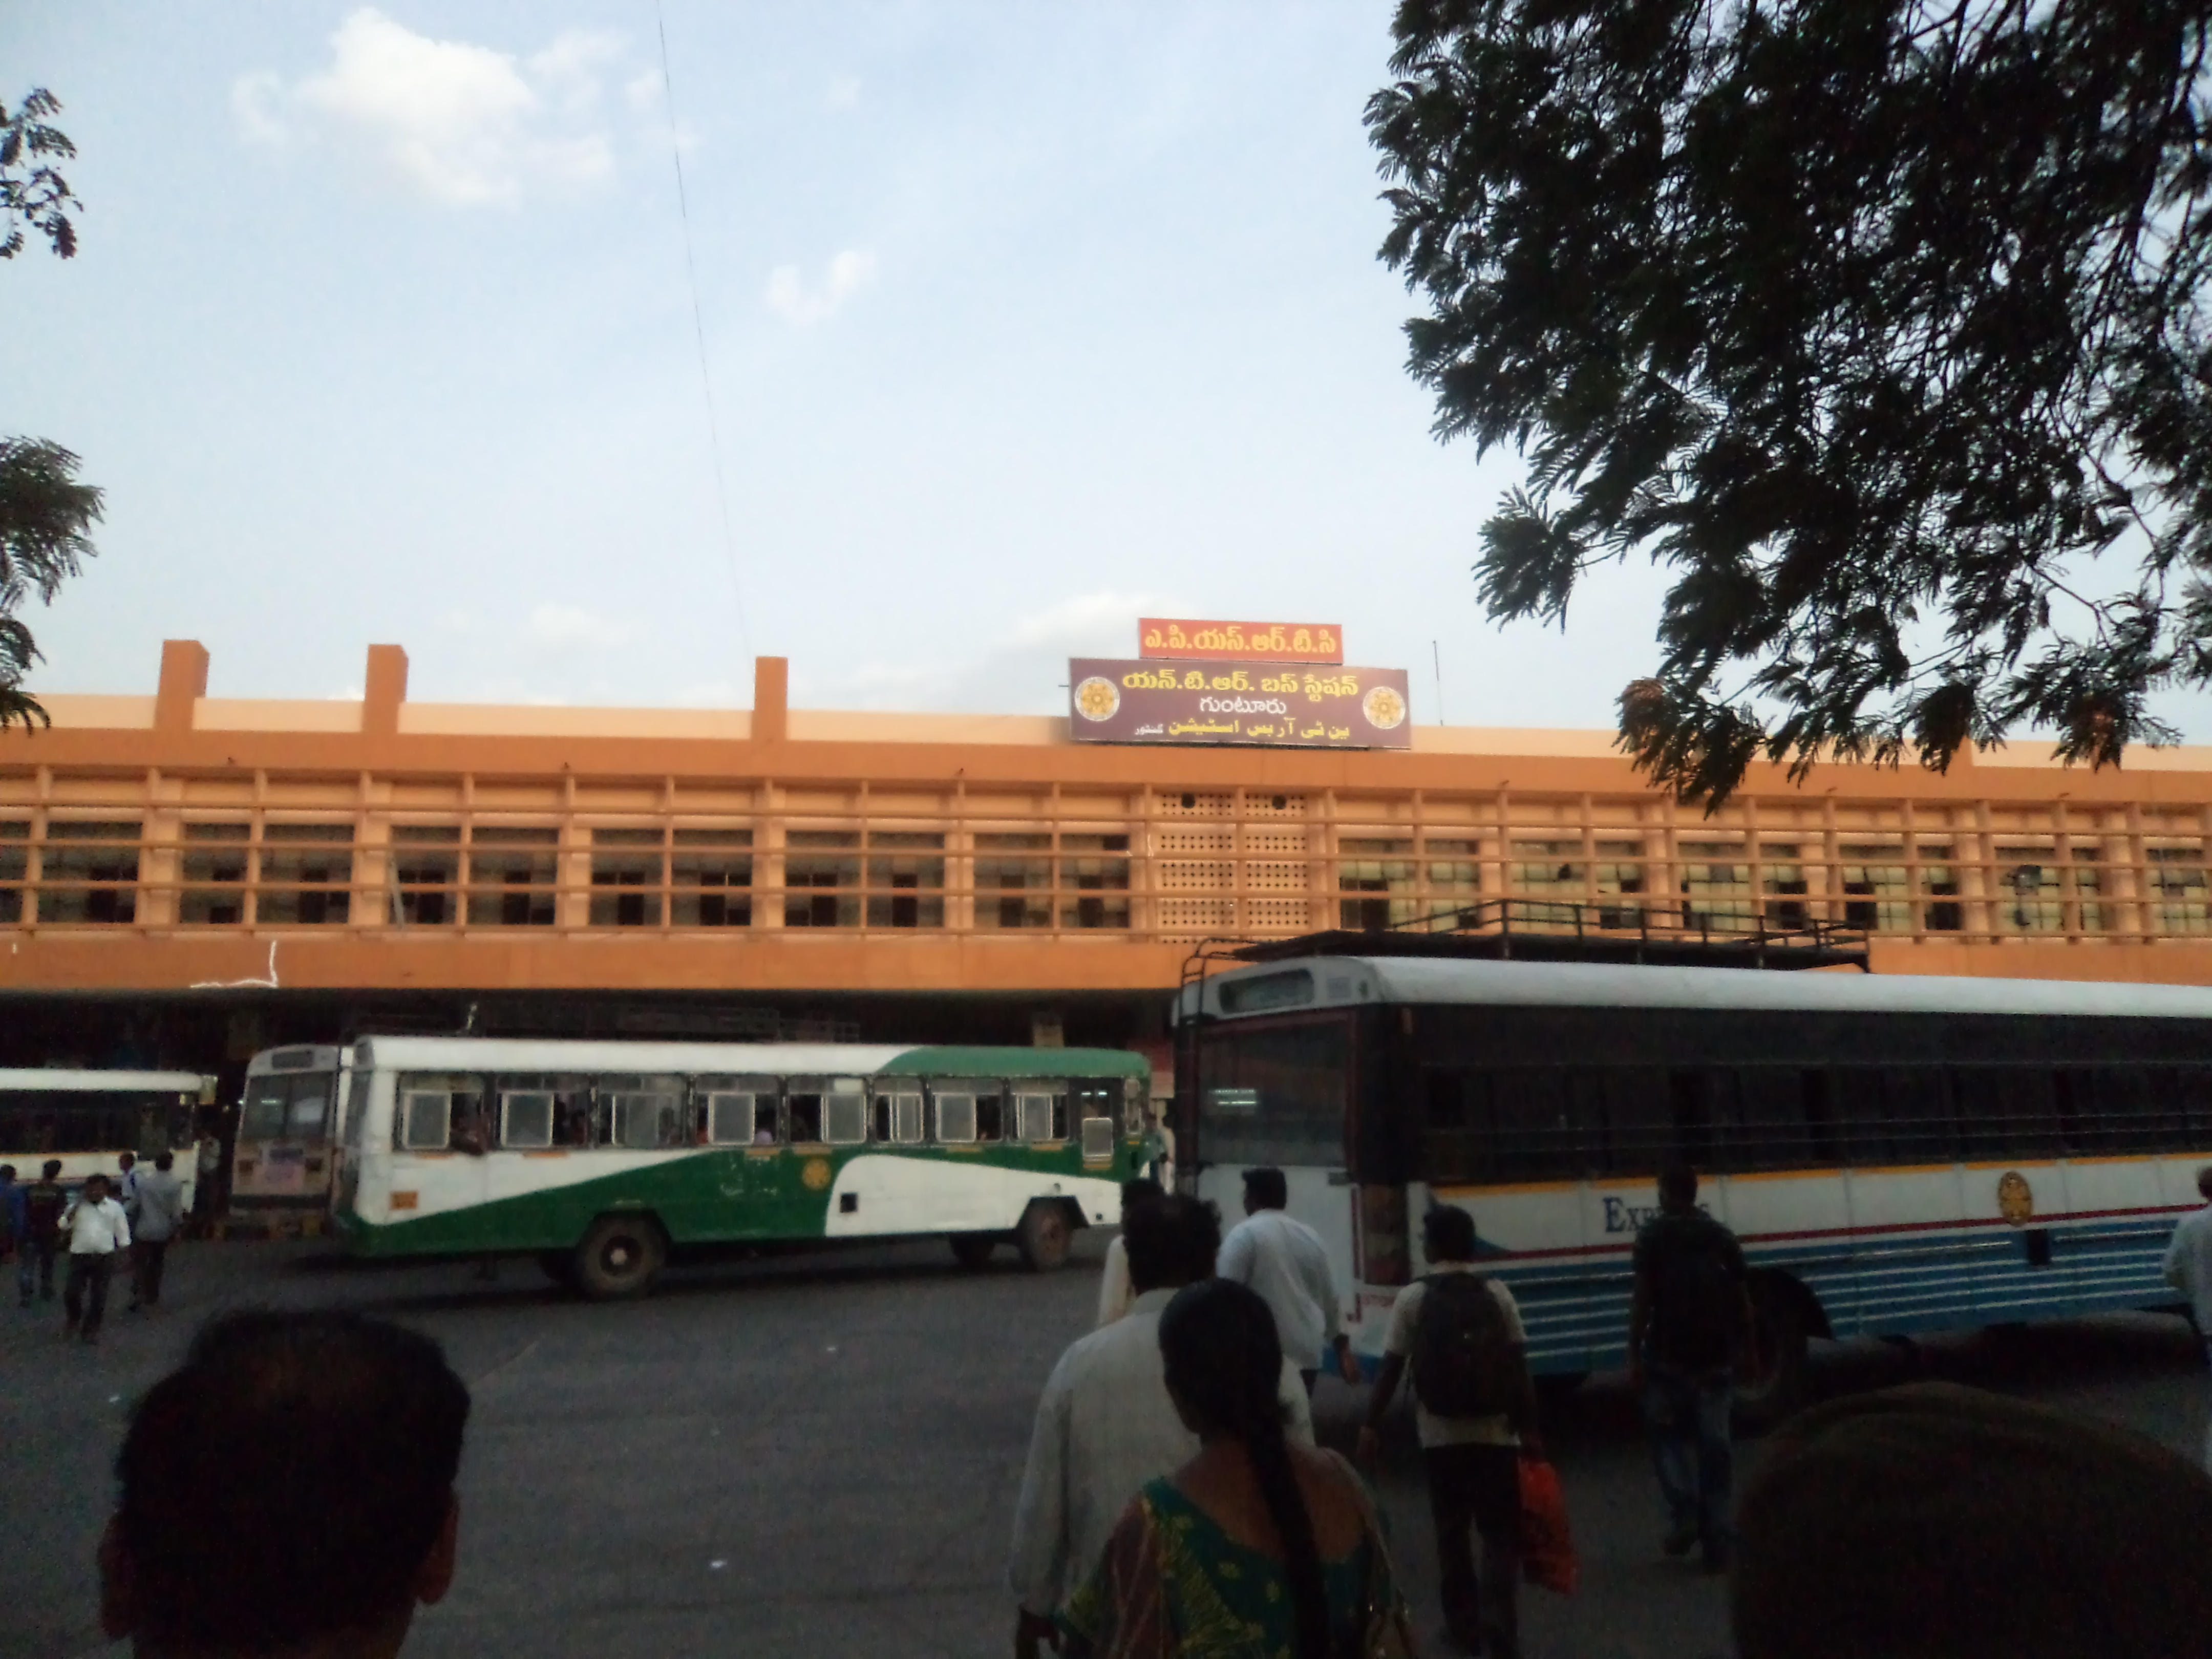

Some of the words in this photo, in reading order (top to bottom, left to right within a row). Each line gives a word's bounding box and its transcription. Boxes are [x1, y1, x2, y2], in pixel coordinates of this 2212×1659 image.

[1142, 621, 1338, 656] ఎ.పి.యస్.ఆర్.టి.సి
[1120, 667, 1259, 695] యన్.టి.ఆర్.
[1257, 667, 1301, 696] బస్
[1297, 668, 1360, 706] స్టేషన్
[1198, 693, 1289, 719] గుంటూరు
[1166, 713, 1242, 738] استیشن
[1242, 712, 1299, 743] آریس